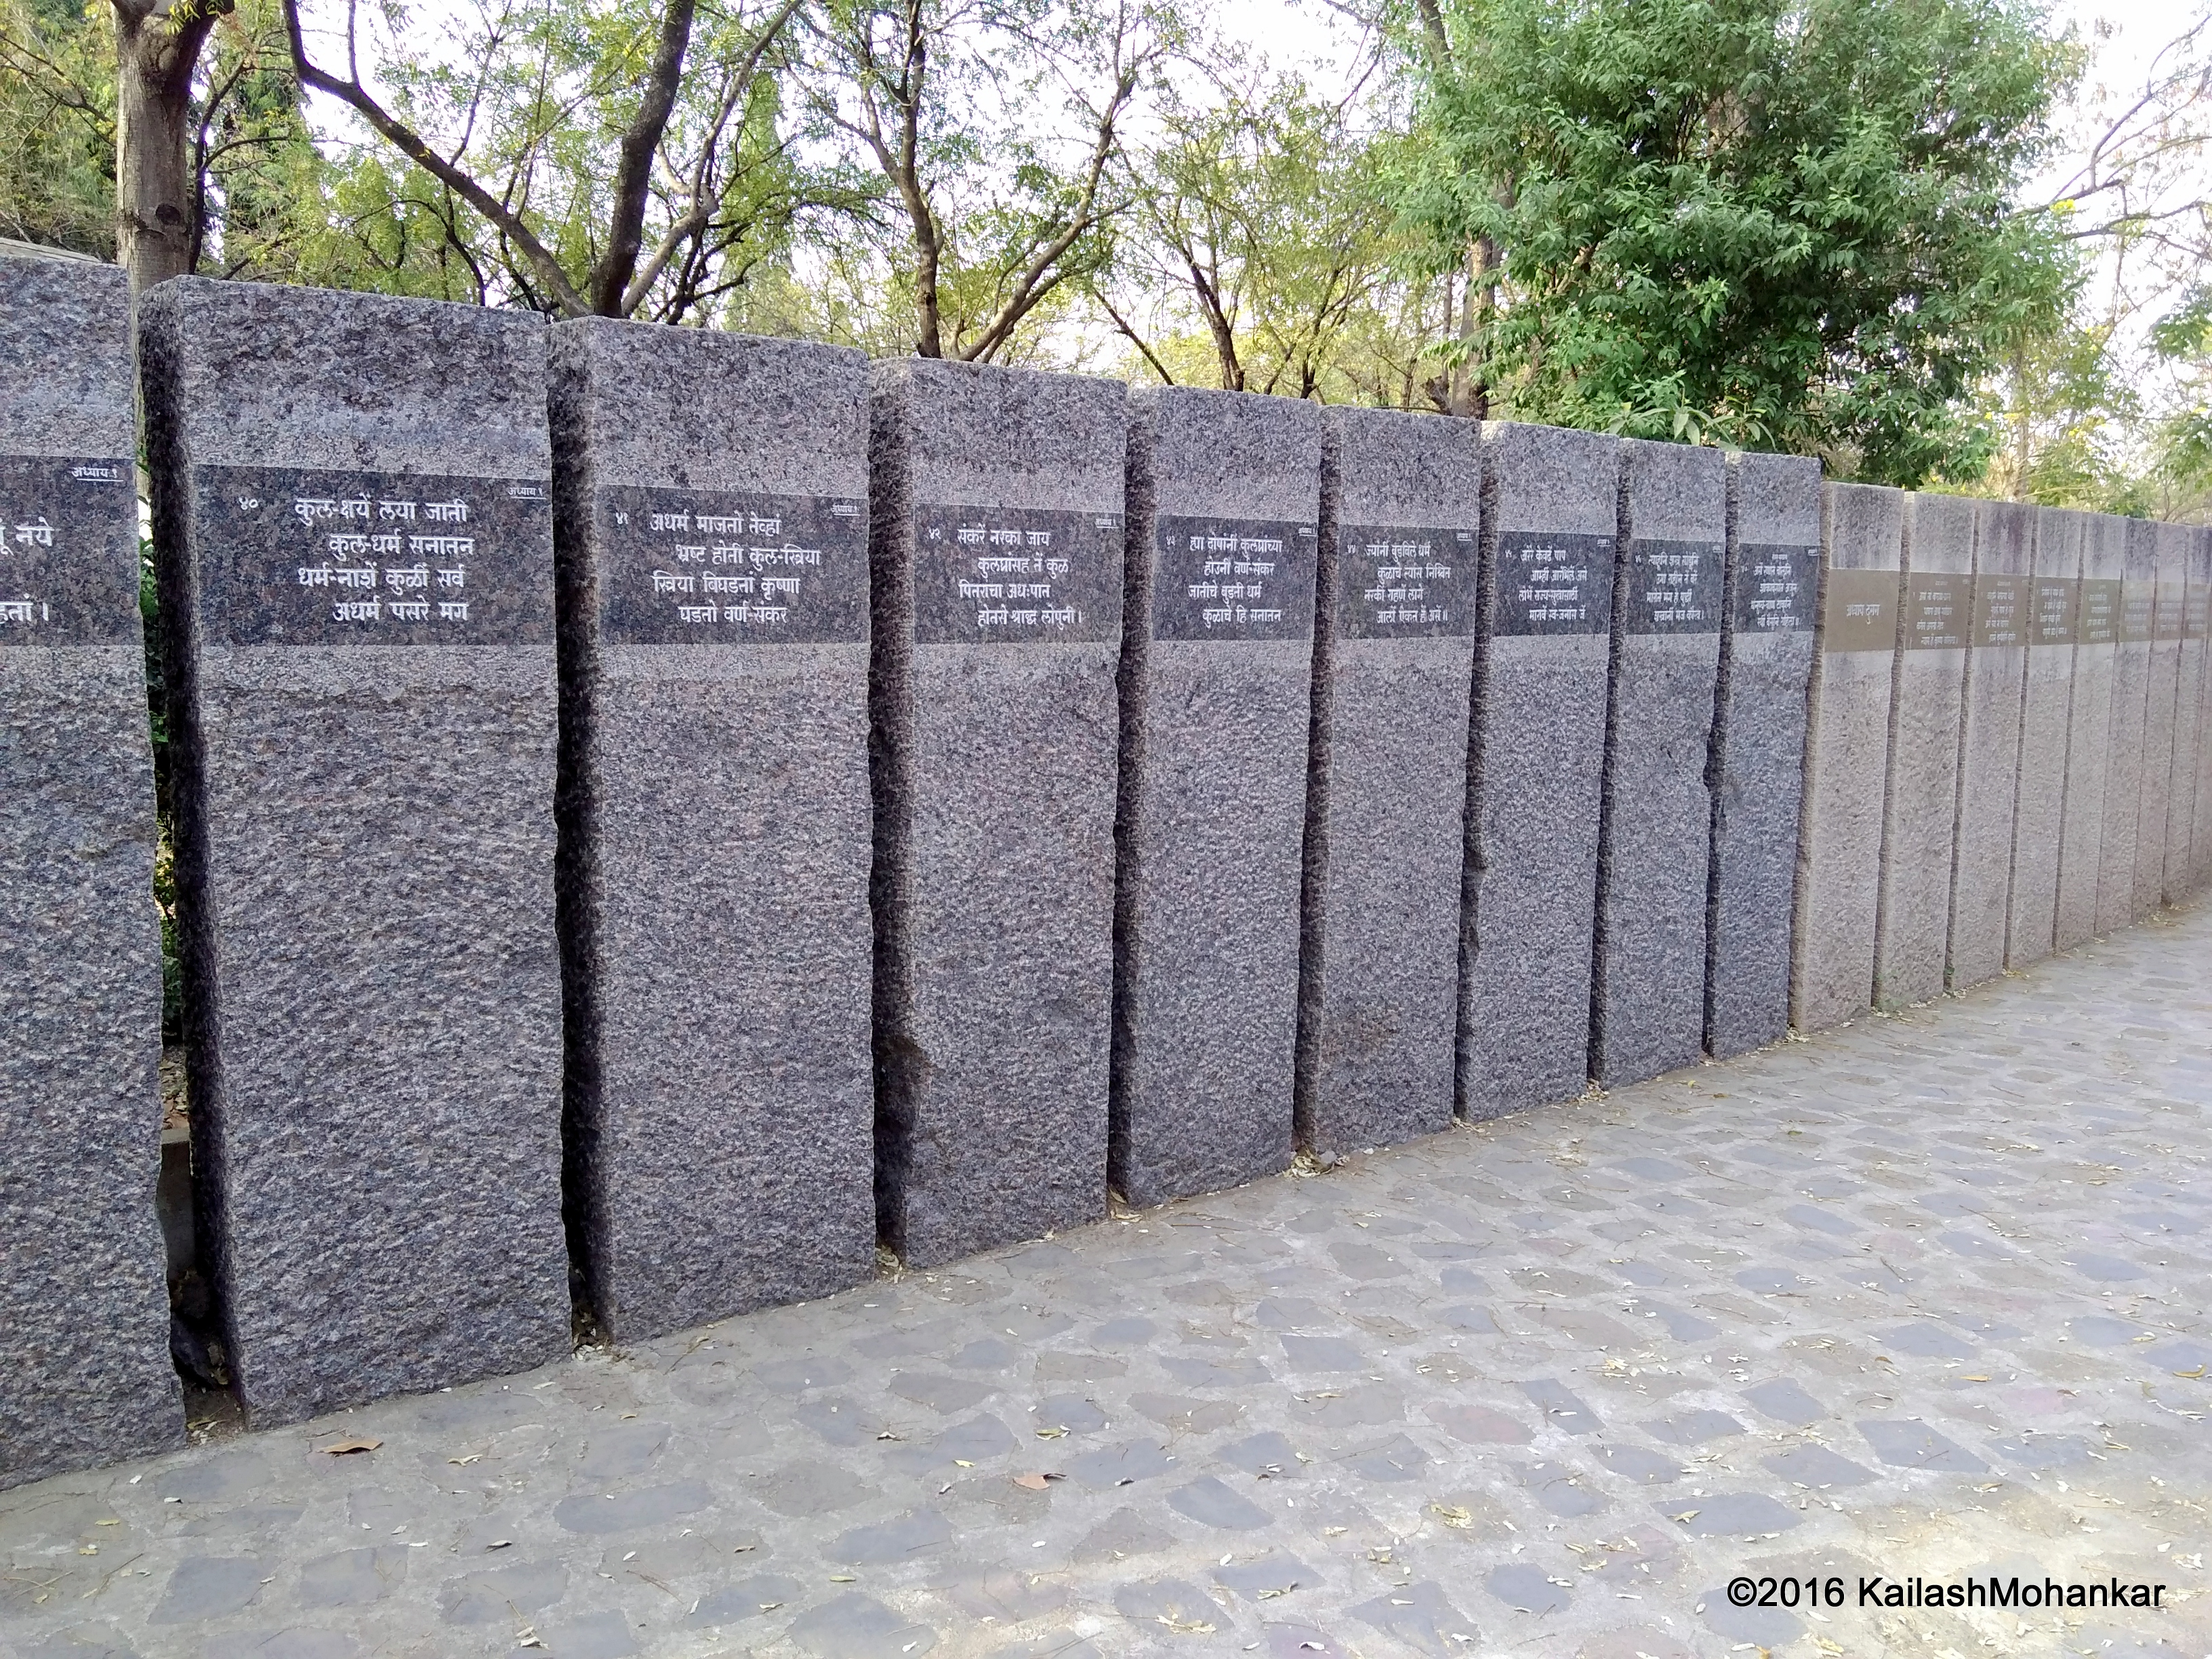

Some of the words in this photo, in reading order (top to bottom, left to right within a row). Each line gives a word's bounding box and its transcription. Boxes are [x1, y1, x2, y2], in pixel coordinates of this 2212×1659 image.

[68, 465, 125, 480] अध्याय१
[9, 512, 65, 553] नये
[234, 491, 261, 516] ४०
[290, 488, 375, 531] कुल-क्षयें
[291, 556, 380, 592] धर्म-नाशें
[325, 525, 406, 565] कुल-धर्म
[375, 493, 420, 525] लया
[382, 558, 432, 598] कुळीं
[405, 532, 479, 561] सनातन
[422, 495, 471, 529] जाती
[432, 559, 470, 593] सर्व
[611, 508, 633, 529] ४१
[647, 506, 693, 535] अधर्म
[644, 567, 697, 598] स्त्रिया
[671, 539, 710, 569] भ्रष्ट
[693, 505, 747, 539] माजतो
[708, 538, 746, 569] होती
[696, 567, 760, 596] बिघडतां
[745, 505, 785, 541] तेव्हां
[758, 573, 804, 604] कृष्णा
[746, 540, 826, 574] कुल-स्त्रिया
[922, 521, 947, 546] ४२
[953, 520, 989, 549] संकरें
[952, 576, 1006, 602] पितरांचा
[974, 548, 1032, 579] कुलप्रांसह
[987, 525, 1025, 548] नरका
[1005, 579, 1055, 602] अधःपात
[1023, 527, 1053, 547] जाय
[1031, 548, 1045, 577] तें
[1044, 552, 1073, 581] कुळ
[1159, 531, 1180, 552] ४३
[1185, 529, 1206, 556] ह्या
[1183, 577, 1222, 605] जातीचे
[1197, 552, 1233, 578] होउनी
[1205, 528, 1241, 554] दोषांनी
[1218, 579, 1246, 605] बुडती
[1231, 554, 1277, 578] वर्ण-संकर
[1245, 577, 1265, 600] धर्म
[1240, 532, 1287, 559] कुलप्रांच्या
[1361, 536, 1391, 560] ज्यांनीं
[1355, 581, 1408, 605] नरकीं-राहणें
[1371, 559, 1404, 587] कुळाचे
[1390, 539, 1418, 564] बुडविले
[1402, 558, 1424, 582] त्यांस
[1407, 582, 1426, 604] लागे
[1418, 537, 1433, 560] धर्म
[1424, 559, 1454, 583] निश्चित
[327, 592, 386, 627] अधर्म
[386, 592, 436, 626] पसरे
[436, 594, 474, 626] मग
[673, 596, 722, 628] घडतो
[723, 596, 792, 629] वर्ण-संकर
[971, 602, 1010, 630] होतसे
[1009, 604, 1040, 628] श्राद्ध
[1040, 600, 1085, 631] लोपुनी।
[1197, 604, 1234, 632] कुळाचे
[1233, 601, 1250, 627] हि
[1248, 605, 1284, 626] सनातन
[1372, 604, 1398, 628] आलों
[1397, 602, 1418, 628] ऐकत
[1427, 601, 1452, 627] असें॥
[1716, 1567, 1850, 1628] ©2016
[1850, 1571, 2185, 1622] KailashMohankar